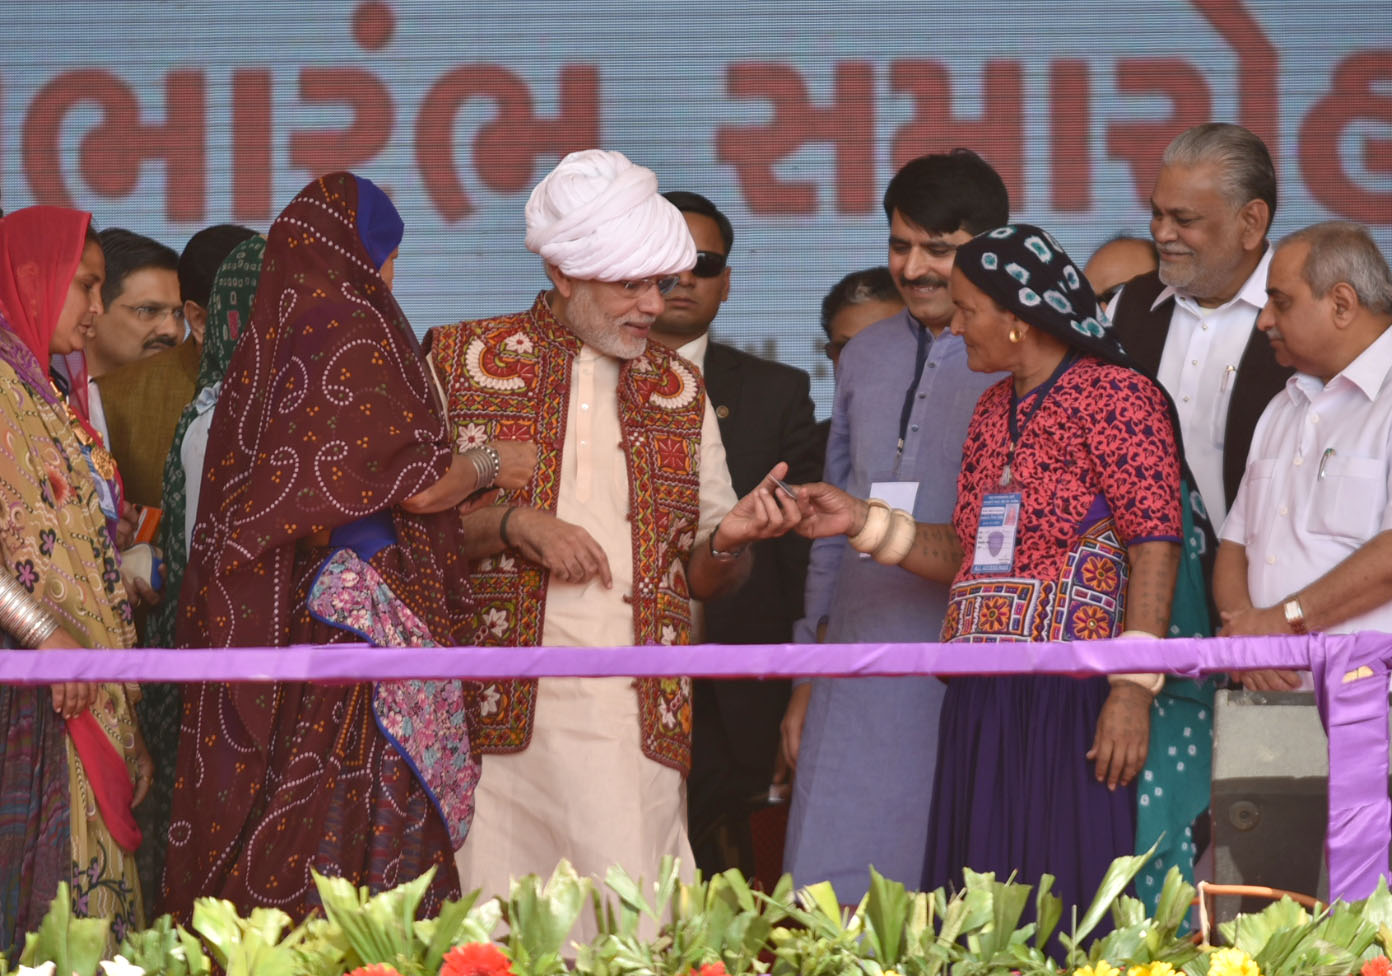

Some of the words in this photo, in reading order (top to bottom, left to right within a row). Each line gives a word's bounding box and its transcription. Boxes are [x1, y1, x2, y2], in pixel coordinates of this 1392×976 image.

[14, 0, 614, 238] ભારંભ
[690, 0, 1392, 236] સમારોહ